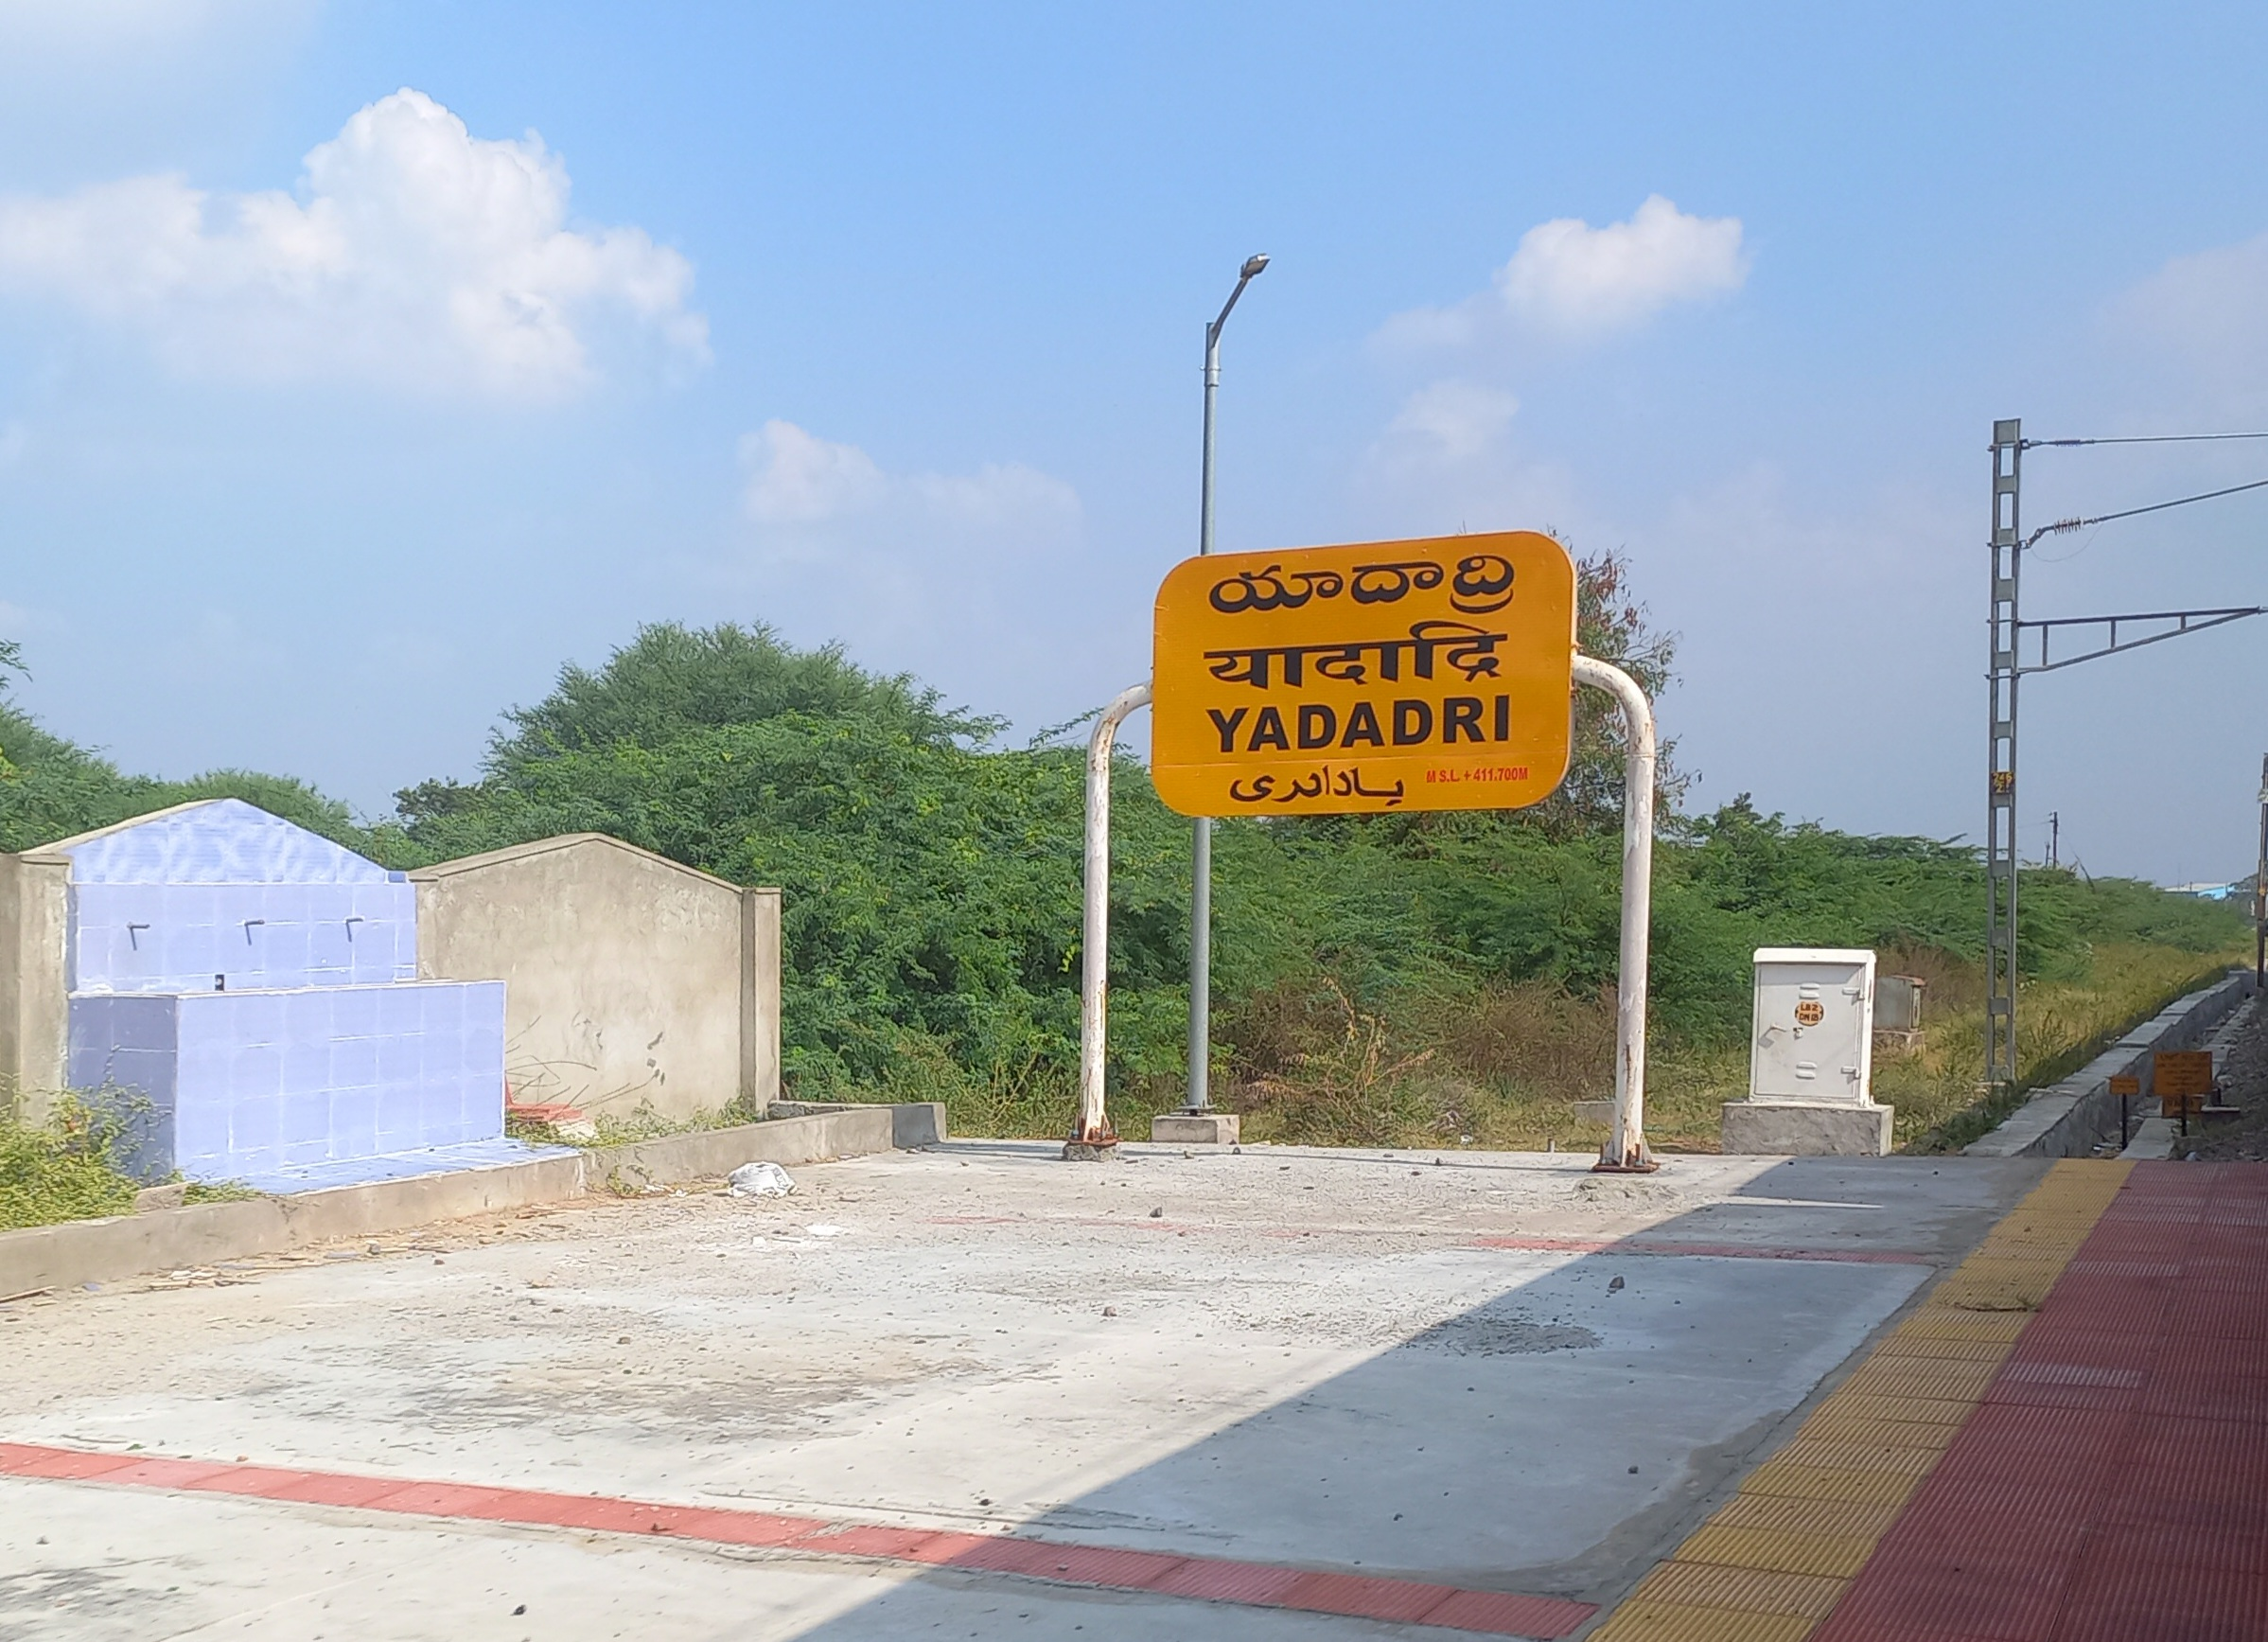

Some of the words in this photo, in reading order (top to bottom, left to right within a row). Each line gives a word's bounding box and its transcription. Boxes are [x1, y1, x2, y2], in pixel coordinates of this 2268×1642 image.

[1206, 554, 1519, 620] యాదాద్రి
[1201, 612, 1512, 694] यादाद्रि
[1204, 693, 1514, 758] YADADRI